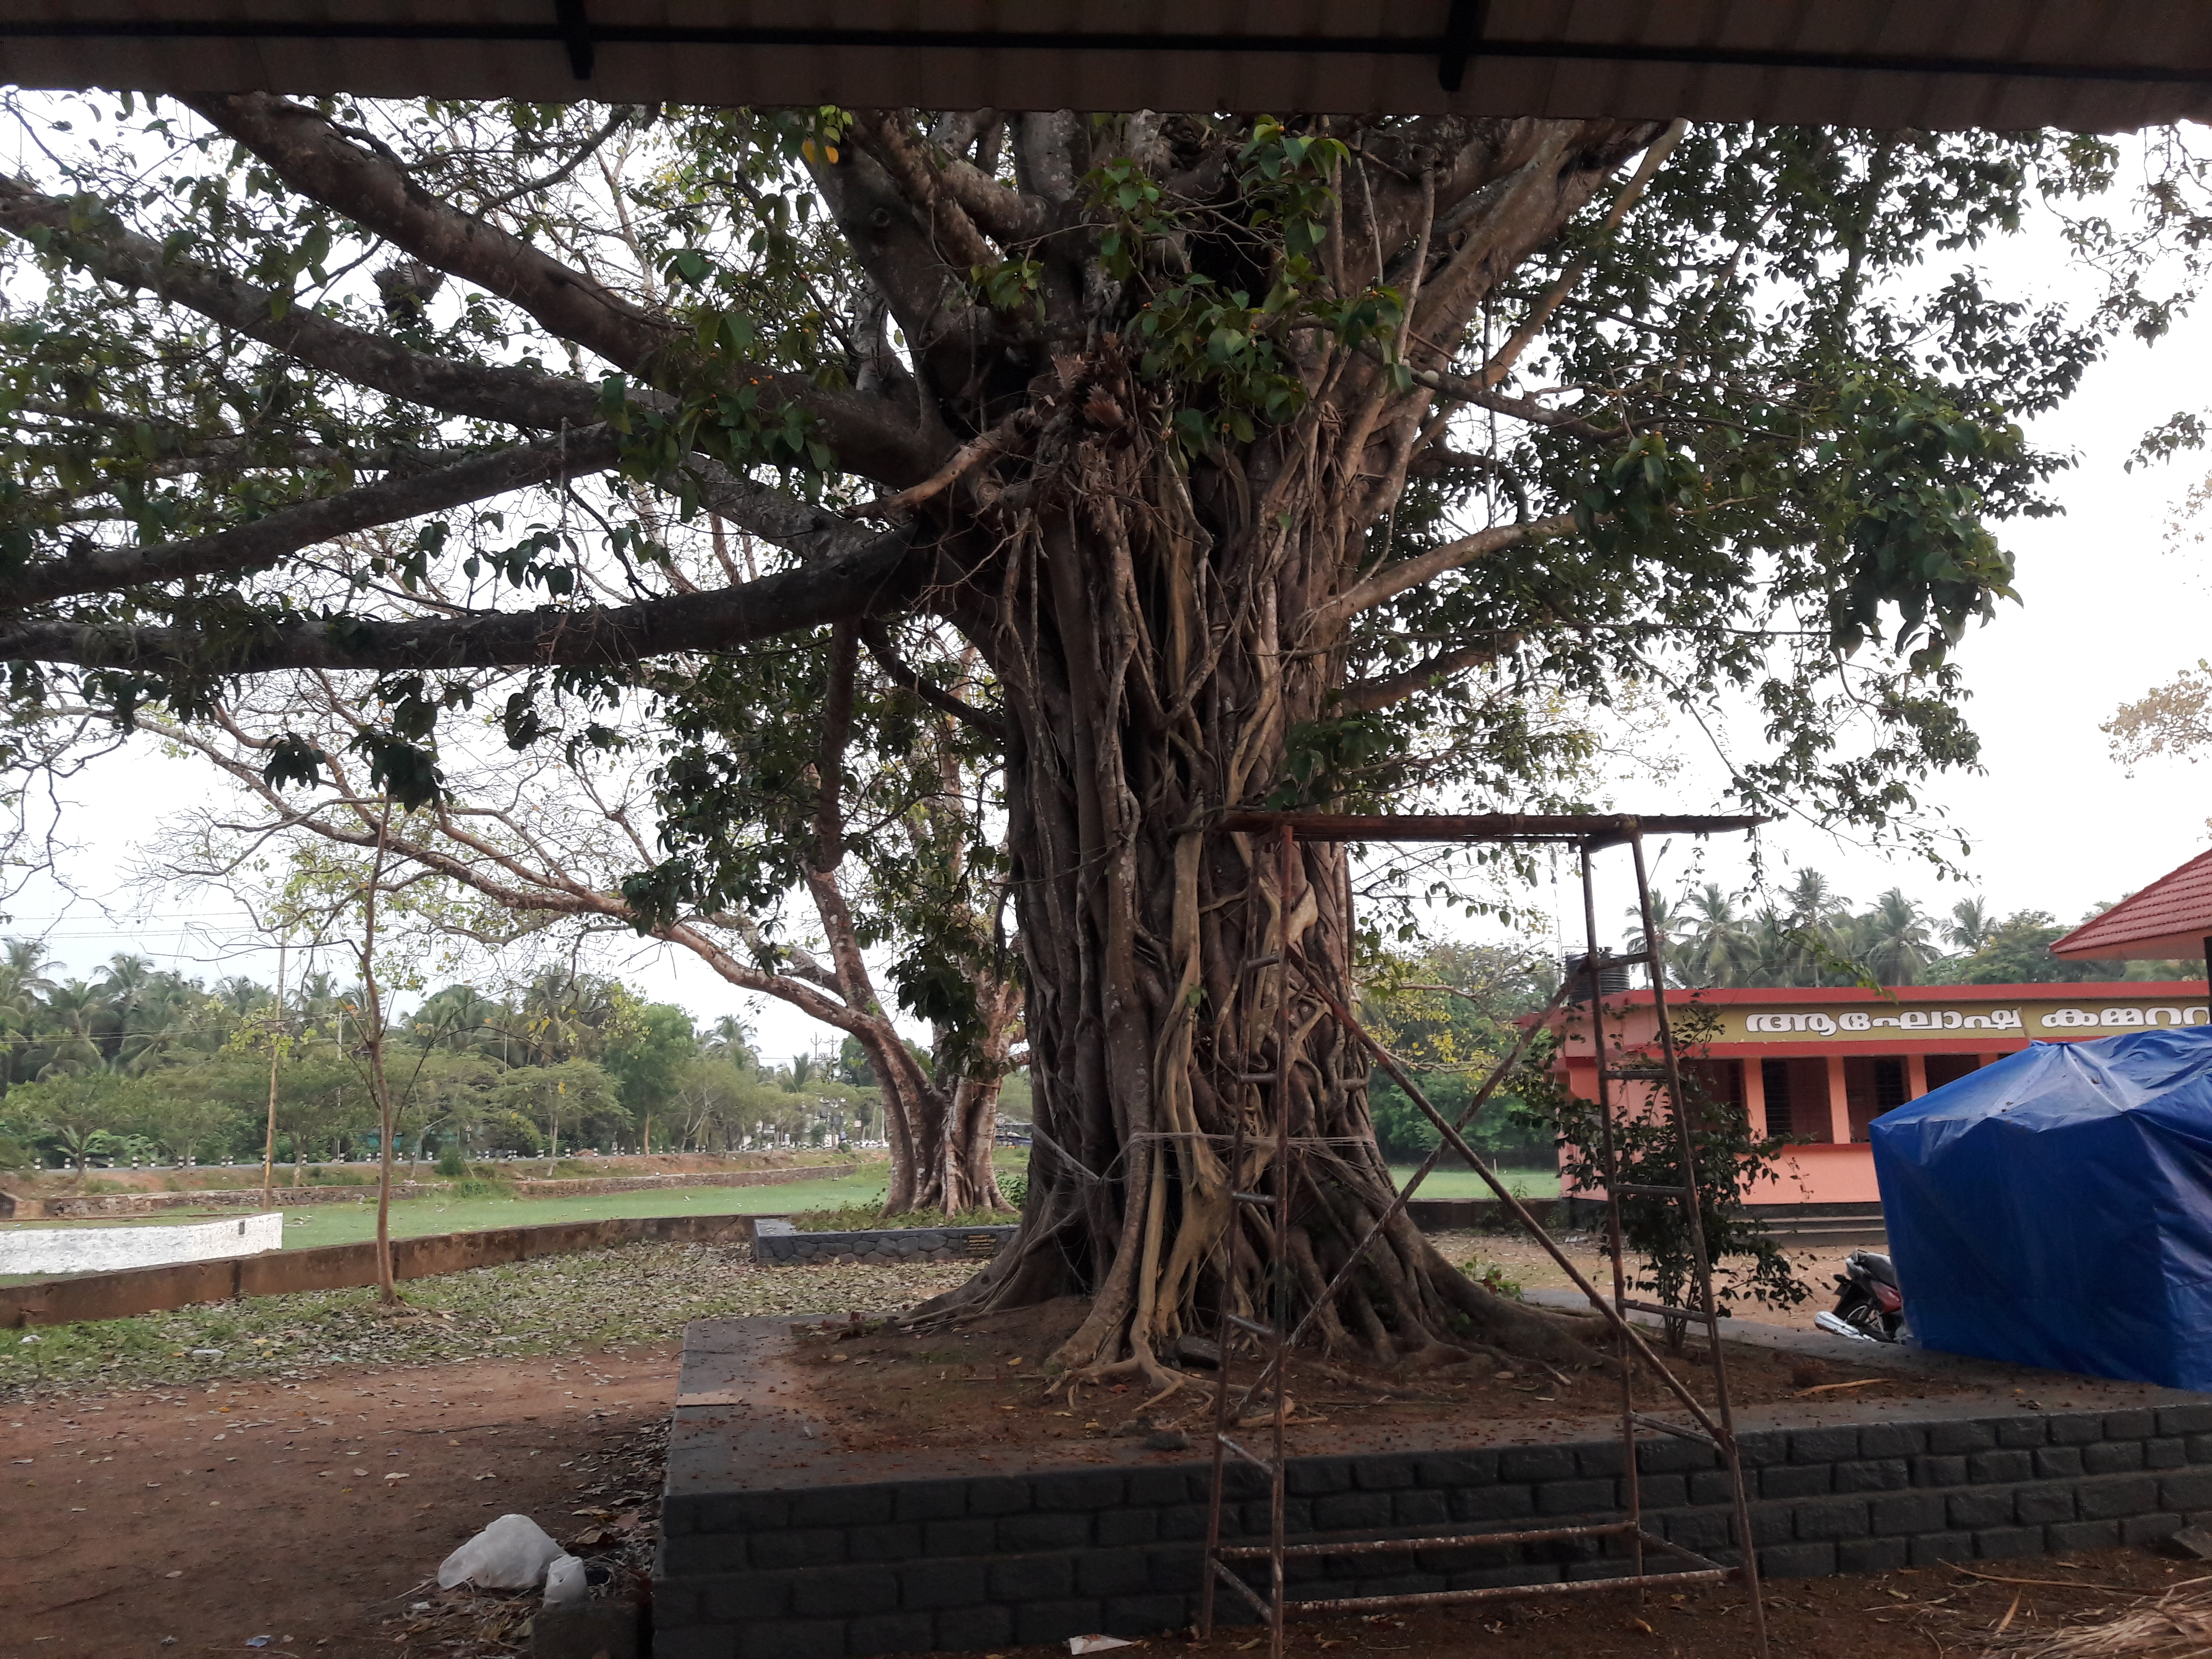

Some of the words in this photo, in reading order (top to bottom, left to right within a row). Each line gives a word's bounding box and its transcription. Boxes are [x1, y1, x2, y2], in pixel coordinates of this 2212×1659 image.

[1743, 1003, 2026, 1038] ആഘോഷ
[2034, 997, 2208, 1032] കമ്മററ